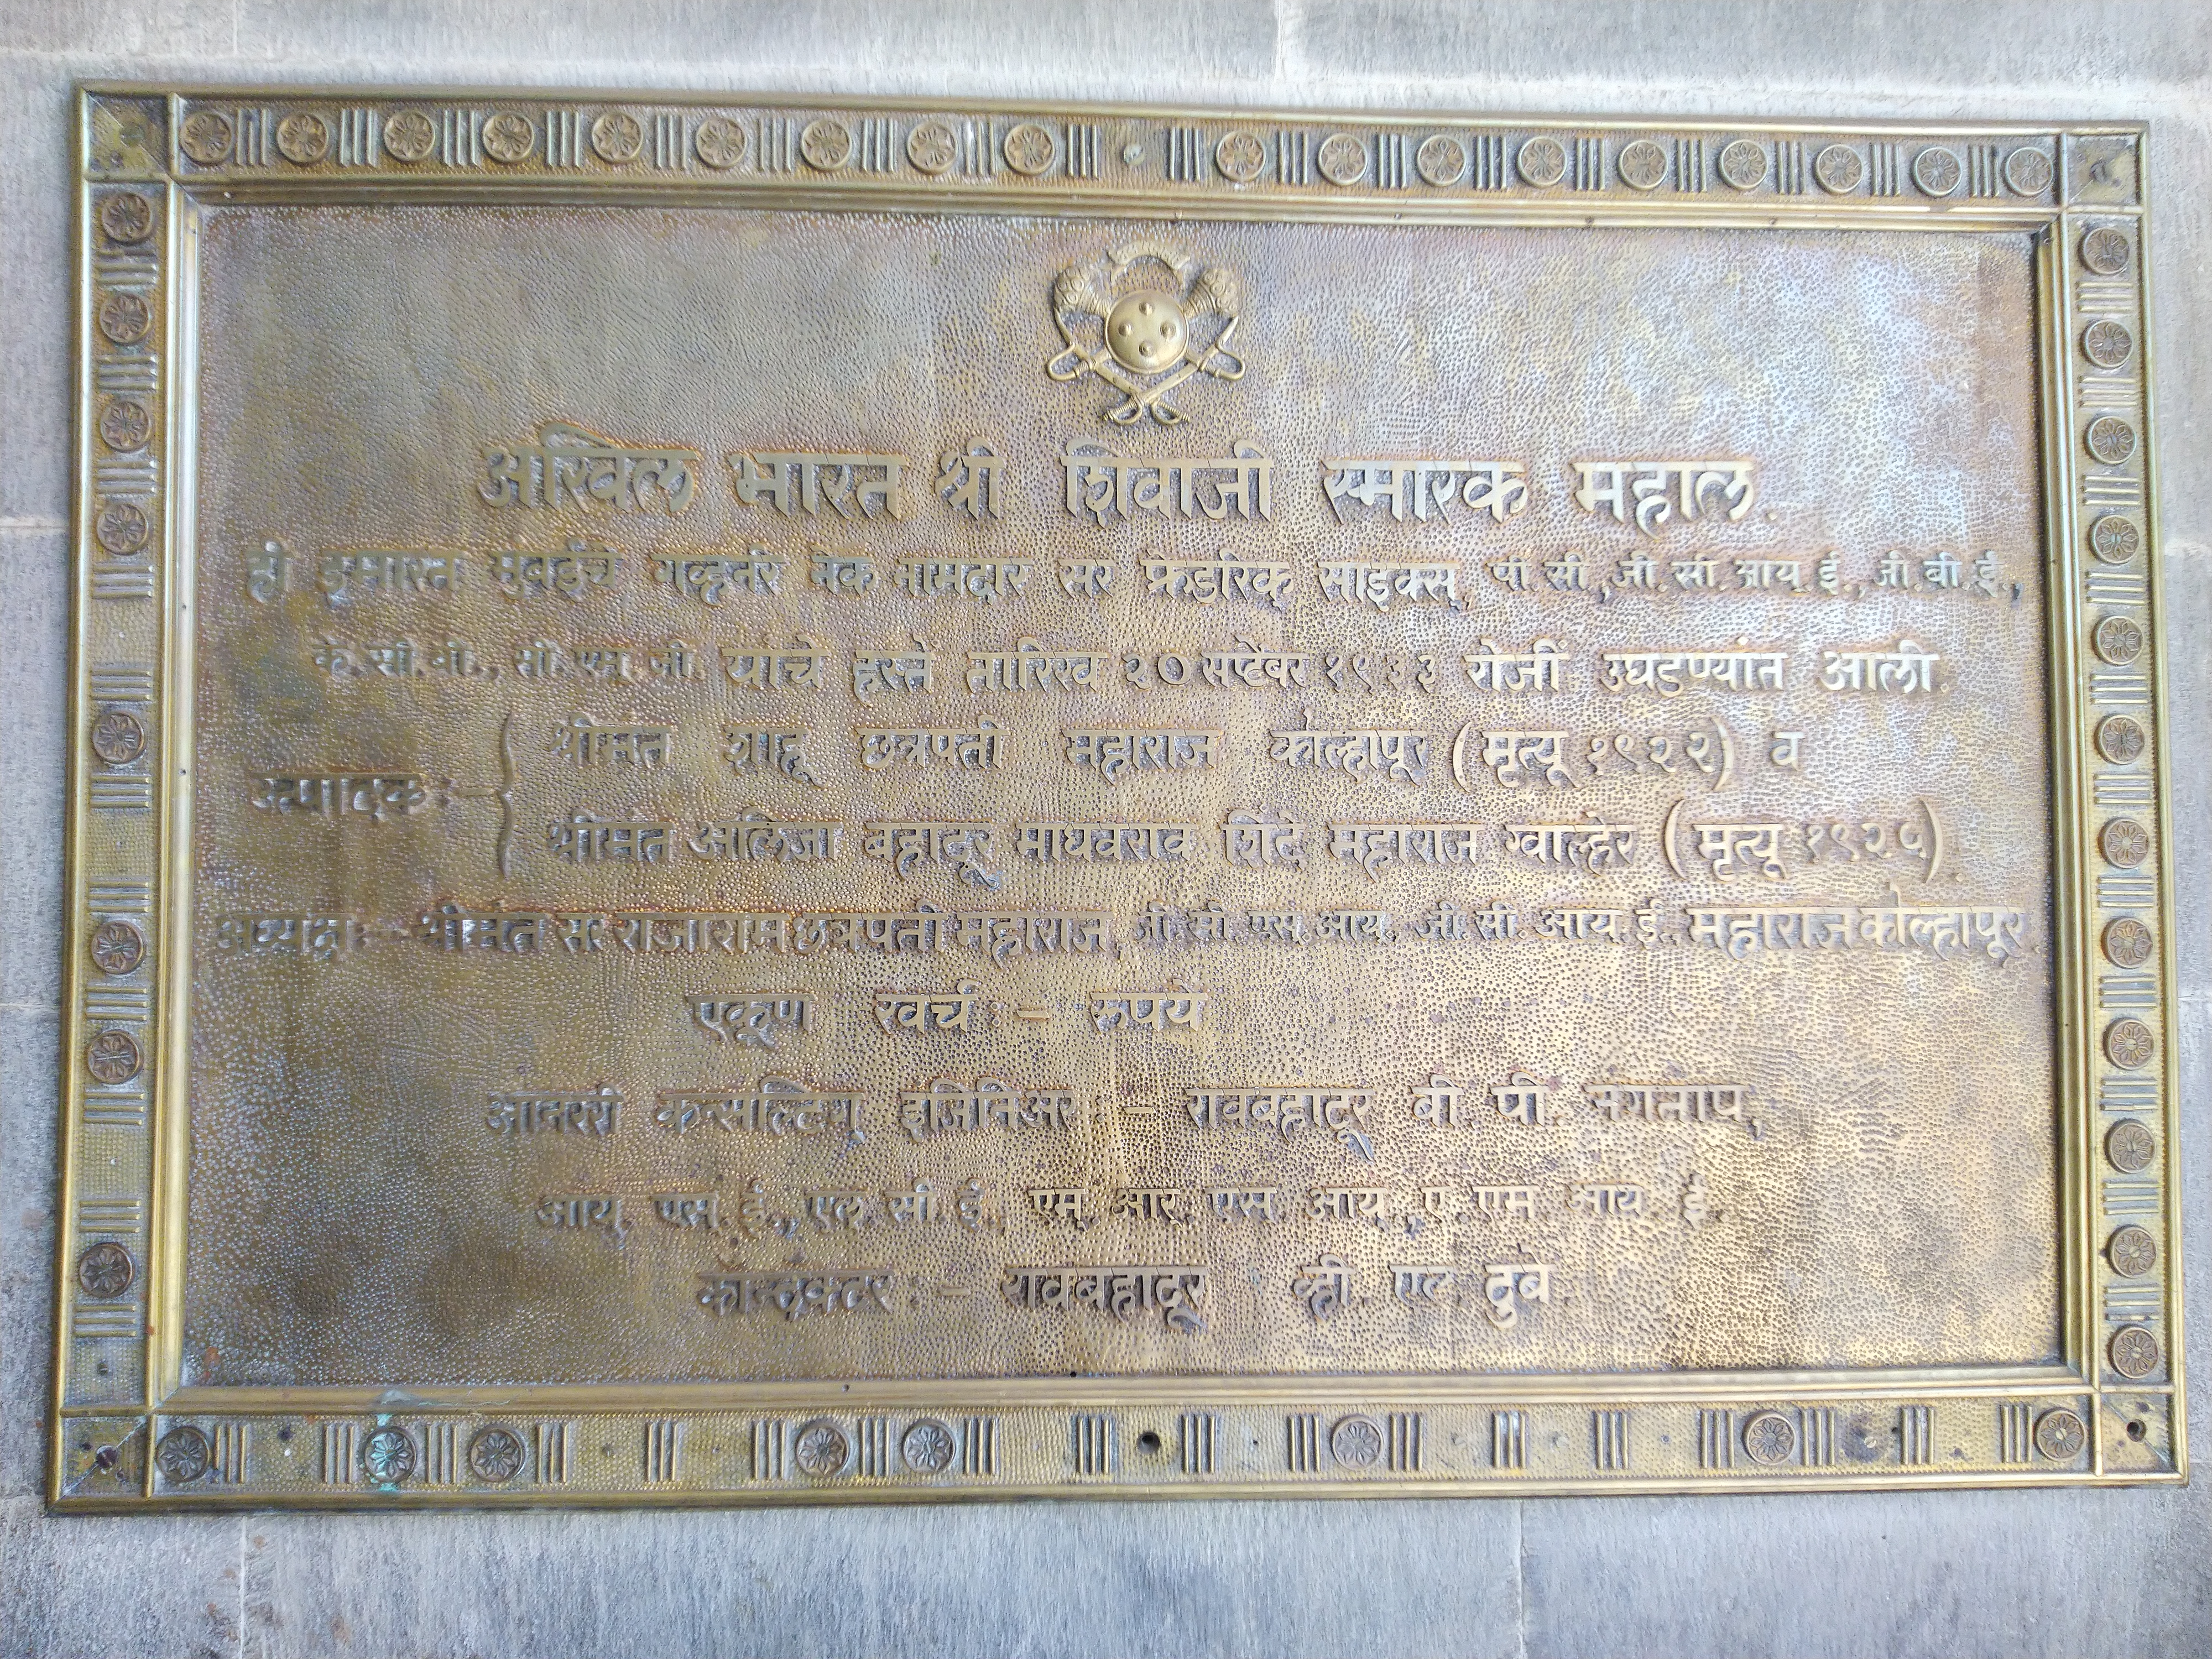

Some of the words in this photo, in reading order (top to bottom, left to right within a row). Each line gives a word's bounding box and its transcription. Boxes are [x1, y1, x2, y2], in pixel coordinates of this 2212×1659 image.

[466, 416, 709, 536] अस्बिल
[719, 442, 918, 530] भारत
[928, 429, 1016, 530] श्री
[1048, 429, 1293, 542] शिवाजी
[1311, 445, 1544, 536] स्मारक
[1556, 448, 1786, 544] महाल
[240, 522, 299, 619] ही
[301, 539, 476, 617] इमारत
[476, 530, 625, 613] मुबईचे
[637, 536, 794, 614] गव्हर्नर
[800, 536, 883, 601] नेक
[888, 547, 1044, 612] नामदार
[1049, 550, 1124, 610] सर
[1136, 542, 1305, 620] फ्रेडरिक्
[1308, 550, 1480, 626] साइक्स्
[1484, 545, 1615, 613] पी.सी.,
[1607, 540, 1871, 613] जी.सी.आय्.ई.,
[1870, 541, 2030, 610] जी.बी.ई.,
[300, 620, 504, 696] के.सी.बी.,
[502, 627, 714, 696] सी.एम.जी.
[714, 626, 843, 707] यांचे
[843, 625, 948, 707] हस्ते
[957, 629, 1115, 708] तारिख
[1117, 634, 1195, 702] २०
[1194, 621, 1317, 697] सप्टेंबर
[1315, 645, 1448, 705] १९३३
[1457, 630, 1581, 706] रोजीं
[1589, 630, 1802, 710] उघडण्यांत
[1811, 631, 1959, 711] आली.
[538, 705, 686, 780] श्रीमत
[713, 714, 834, 801] शाहू
[843, 705, 1017, 784] छत्रपती
[1054, 721, 1229, 789] महाराज
[1258, 703, 1444, 796] कोल्हापूर
[1441, 715, 1748, 806] (मृत्यू १९२२)
[1760, 723, 1822, 783] व
[234, 760, 494, 843] उत्पादक:-
[530, 805, 681, 878] श्रीमत
[684, 801, 855, 877] अलिजा
[855, 807, 1006, 899] बहादूर
[1008, 815, 1201, 873] माधवराव
[1211, 804, 1316, 883] शिंदे
[1320, 812, 1489, 892] महाराज
[1491, 808, 1650, 883] ग्वाल्हेर
[1655, 789, 1976, 895] (मृत्यू १९२५).
[202, 891, 409, 971] अध्यक्ष:-
[408, 889, 551, 964] श्रीमंत
[551, 904, 607, 965] सर
[607, 904, 793, 969] राजाराम
[785, 892, 952, 968] छत्रपती
[954, 900, 1131, 972] महाराज
[1127, 886, 1407, 964] जी.सी.एस.आय्.
[1410, 888, 1683, 957] जी.सी.आय.ई.,
[1676, 899, 1859, 979] महाराज
[1857, 874, 2045, 975] कोल्हापूर
[678, 983, 831, 1062] एकूण
[857, 974, 1061, 1045] खर्च:-
[1073, 970, 1224, 1047] रुपये
[476, 1076, 629, 1149] आनररी
[647, 1070, 870, 1149] कन्सल्टिग्
[887, 1066, 1167, 1152] इजिनिअर:-
[1177, 1072, 1385, 1165] रावबहादूर
[1402, 1066, 1488, 1144] बी.
[1485, 1068, 1575, 1140] पी
[1575, 1072, 1777, 1145] नगताप,
[524, 1186, 637, 1245] आयु
[644, 1182, 737, 1240] एस्.
[735, 1175, 790, 1246] ई.
[797, 1178, 885, 1245] एल.
[881, 1170, 953, 1235] सी
[951, 1171, 1018, 1240] ई.
[1018, 1179, 1108, 1241] एम्.
[1105, 1177, 1203, 1239] आर्.
[1199, 1168, 1302, 1235] एस.
[1302, 1178, 1422, 1242] आय्.,
[1417, 1175, 1474, 1233] ए.
[1467, 1176, 1558, 1231] एम.
[1559, 1171, 1667, 1224] आय
[1674, 1162, 1737, 1246] ई.
[687, 1249, 979, 1332] कॉन्ट्रक्टर:-
[992, 1256, 1223, 1340] रावबहादूर
[1279, 1246, 1380, 1329] व्ही.
[1381, 1257, 1475, 1322] एल
[1473, 1238, 1585, 1338] टुबे